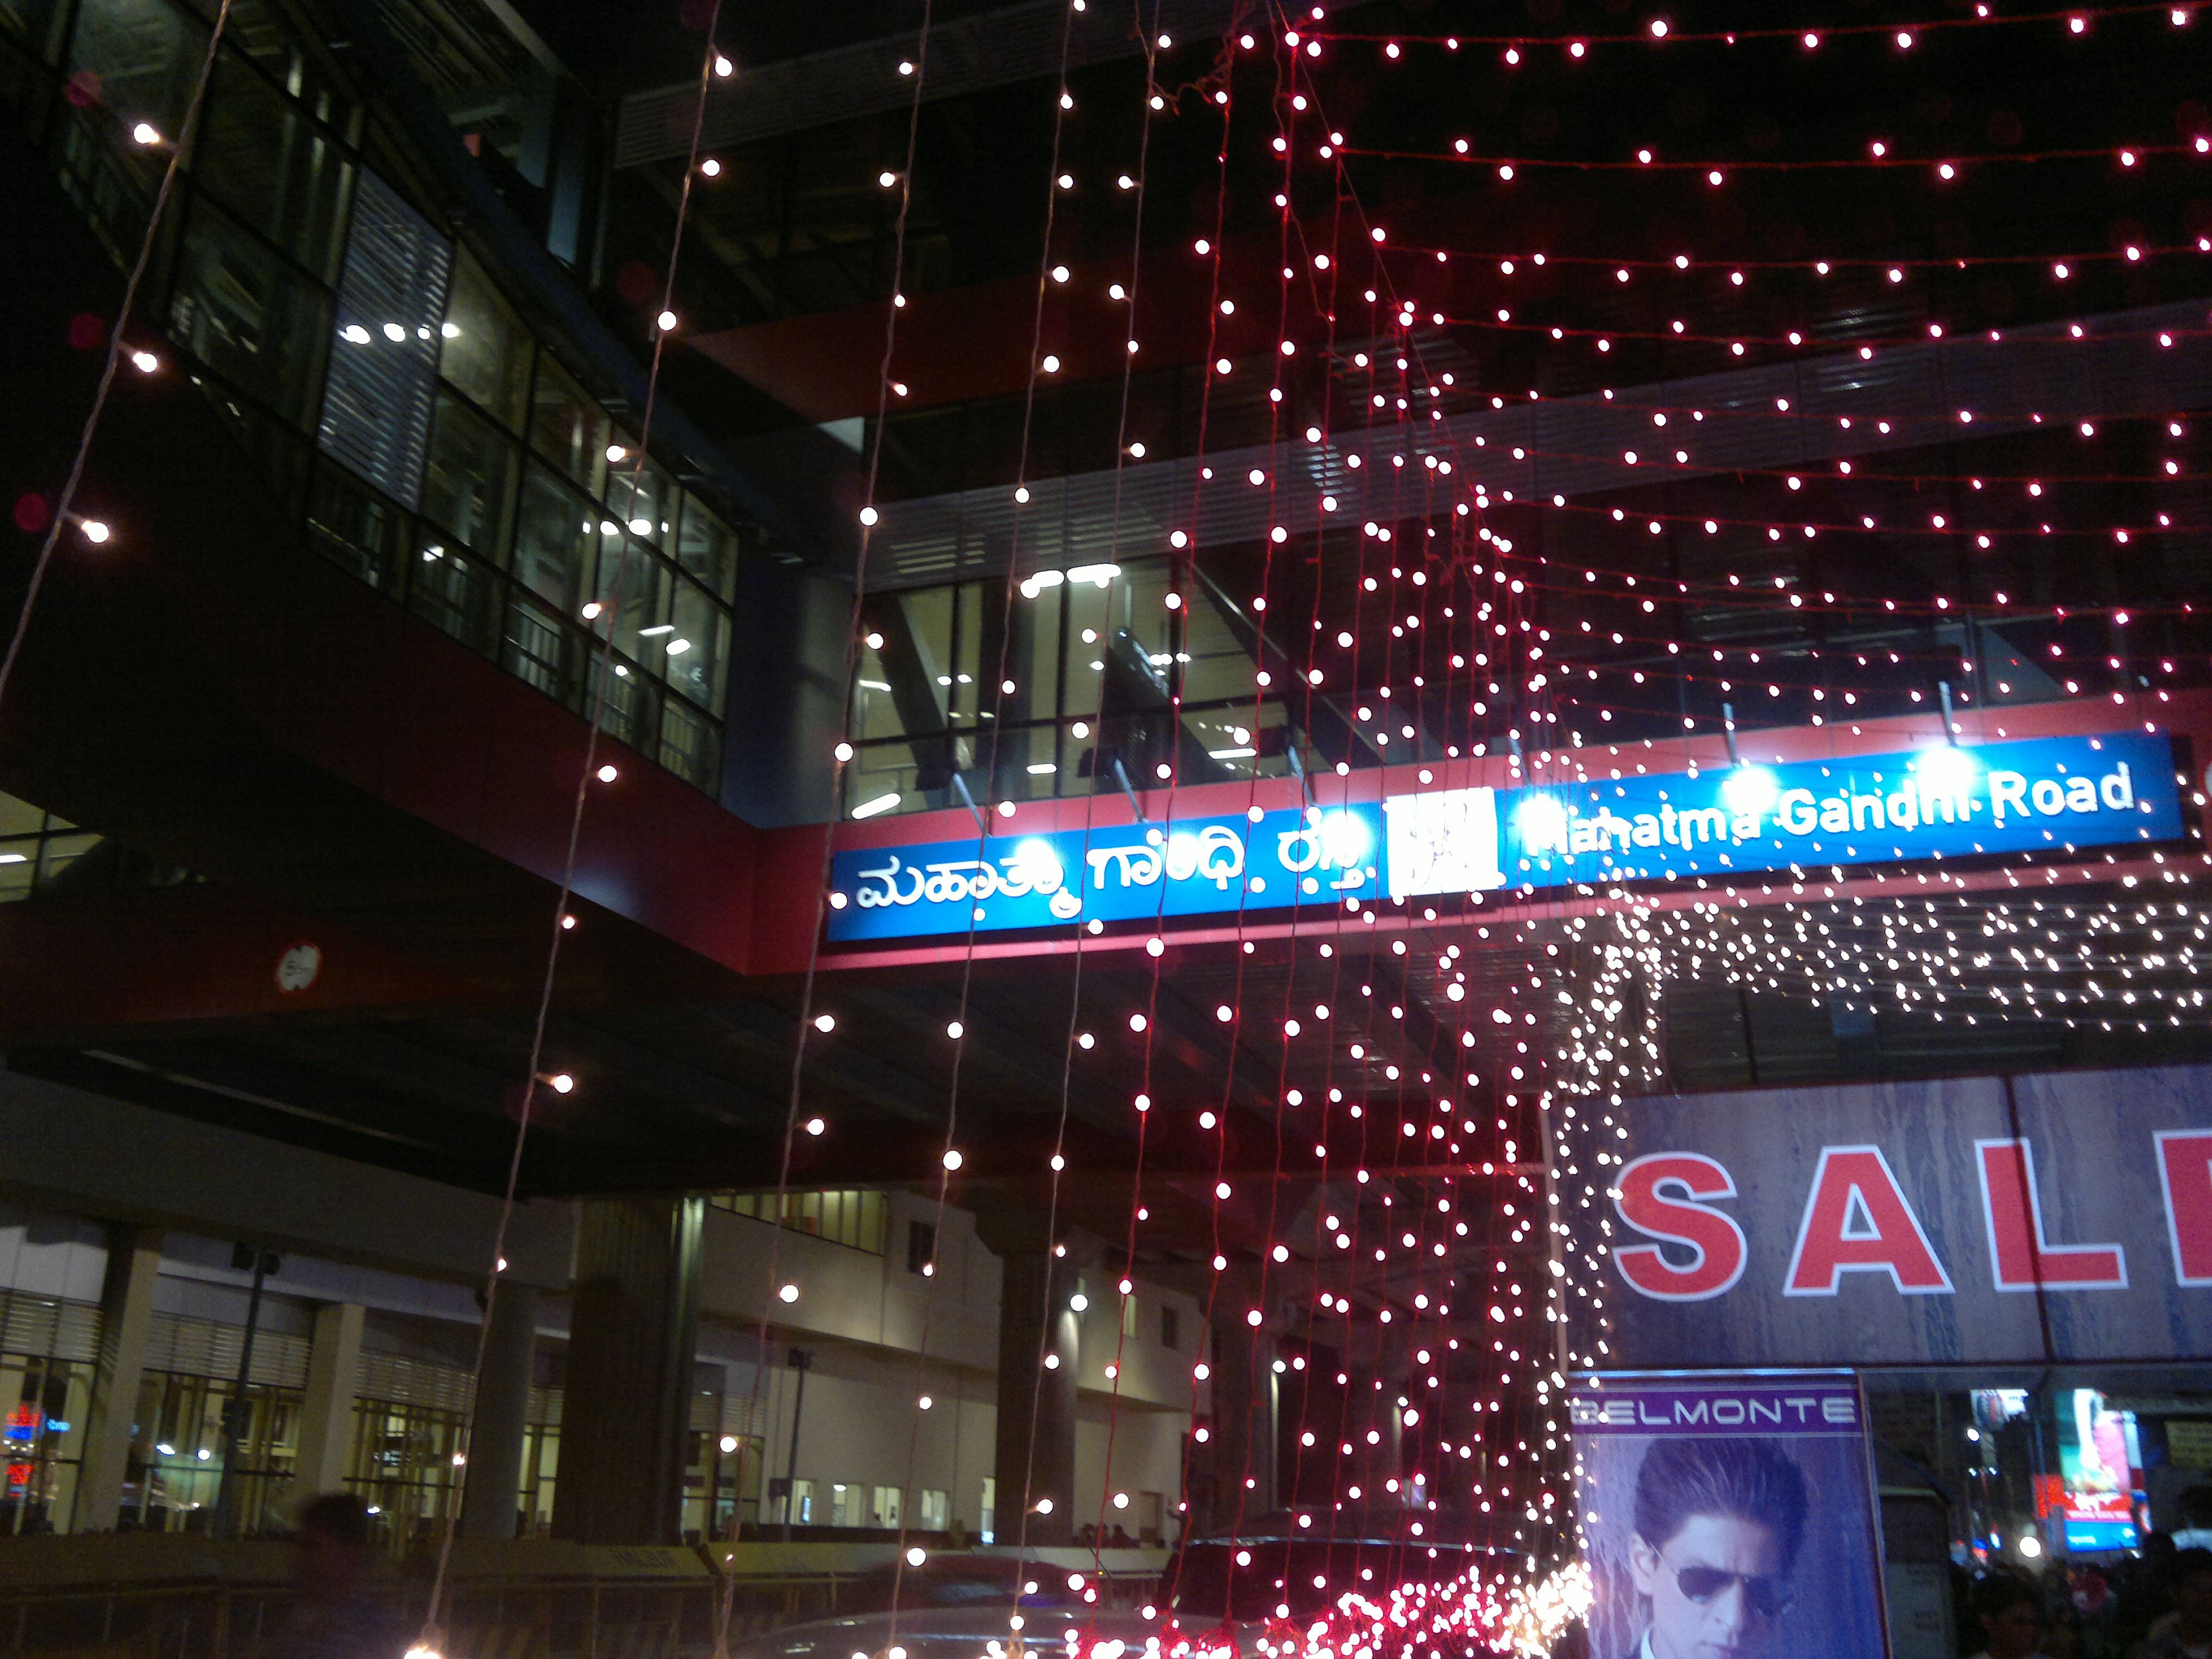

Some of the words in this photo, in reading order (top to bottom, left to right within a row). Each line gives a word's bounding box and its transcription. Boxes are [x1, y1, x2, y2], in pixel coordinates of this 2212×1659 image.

[852, 843, 1088, 924] ಮಹಾ
[1084, 820, 1251, 894] ಗಾಂಧಿ
[1268, 800, 1381, 898] ರಸ್ತ
[1516, 787, 1764, 859] Mahatma
[1773, 769, 1971, 841] Gandhi
[1987, 757, 2138, 819] Road
[1562, 1394, 1865, 1437] BELMONTE